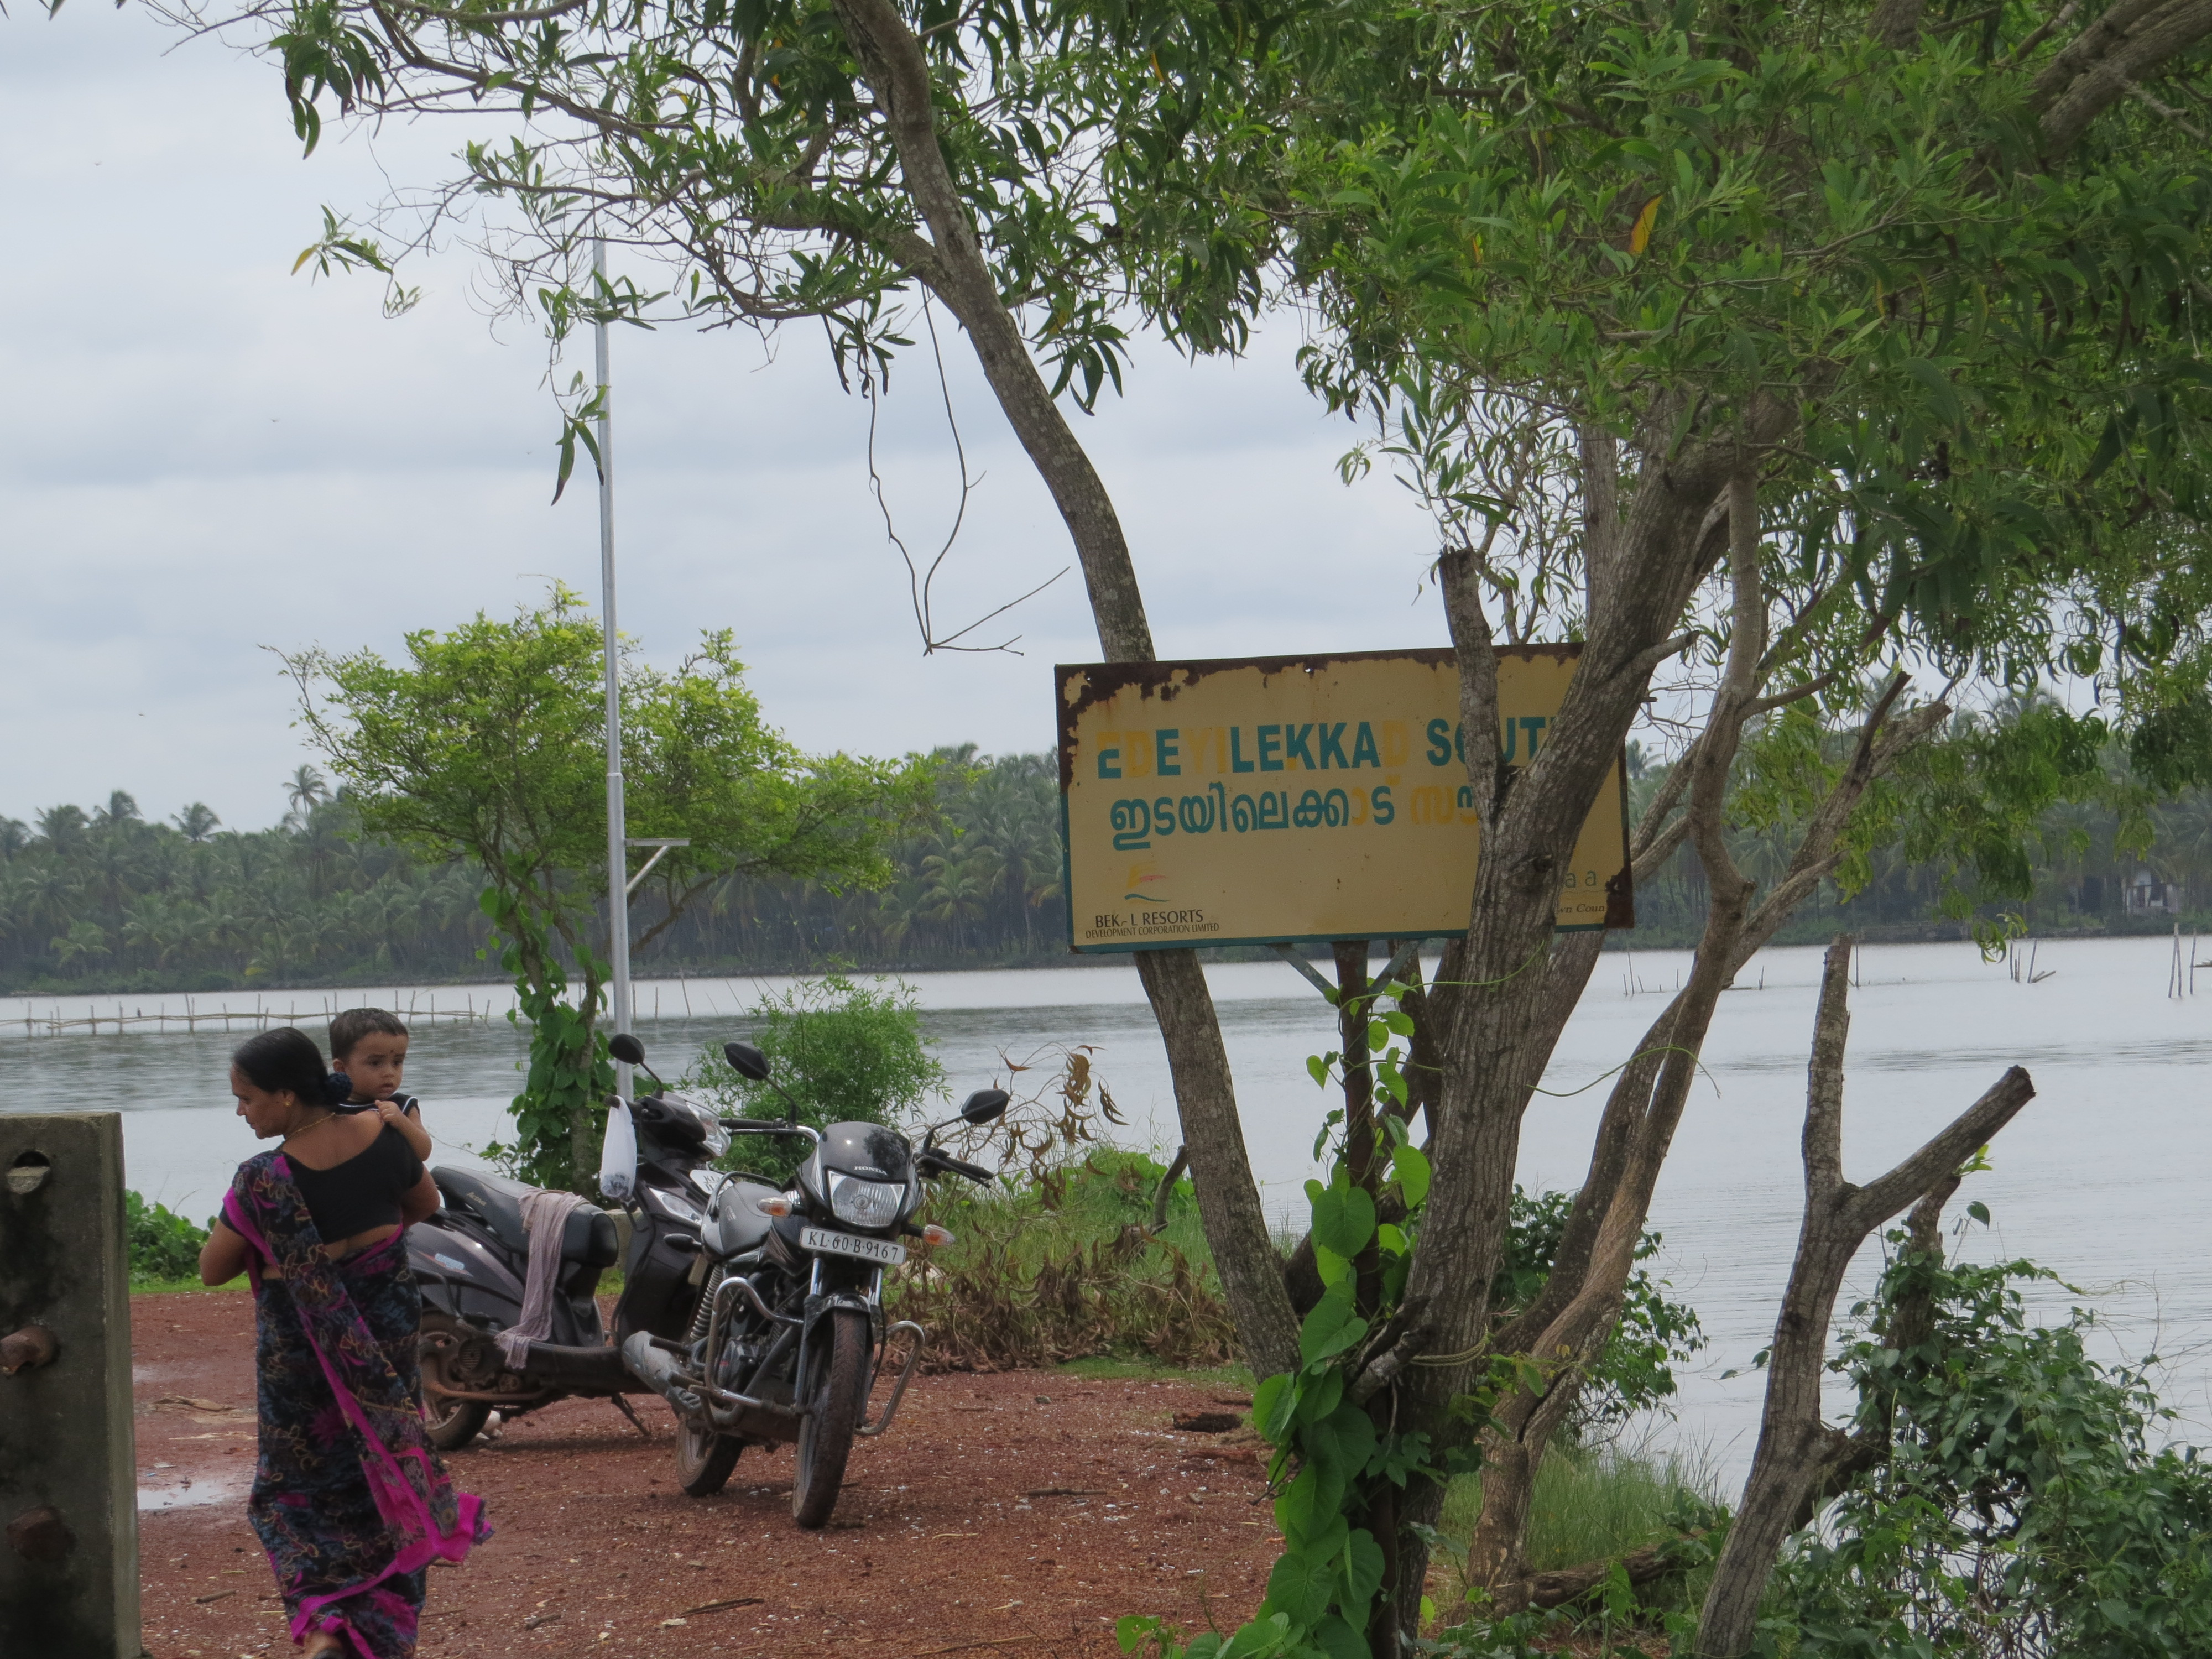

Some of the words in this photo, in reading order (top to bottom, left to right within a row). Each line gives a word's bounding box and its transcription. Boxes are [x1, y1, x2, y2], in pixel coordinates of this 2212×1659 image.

[1089, 743, 1125, 783] n
[1139, 721, 1193, 784] E
[1226, 717, 1384, 778] LEKKA
[1422, 711, 1551, 770] SOUT
[1103, 771, 1405, 854] ഇടയിലെക്ക് ട
[1079, 923, 1137, 942] DEVELOPMENT
[1091, 909, 1139, 928] BEK-L
[1133, 918, 1191, 938] CORPORATION
[1139, 906, 1206, 926] RESORTS
[1184, 918, 1221, 936] LIMITED